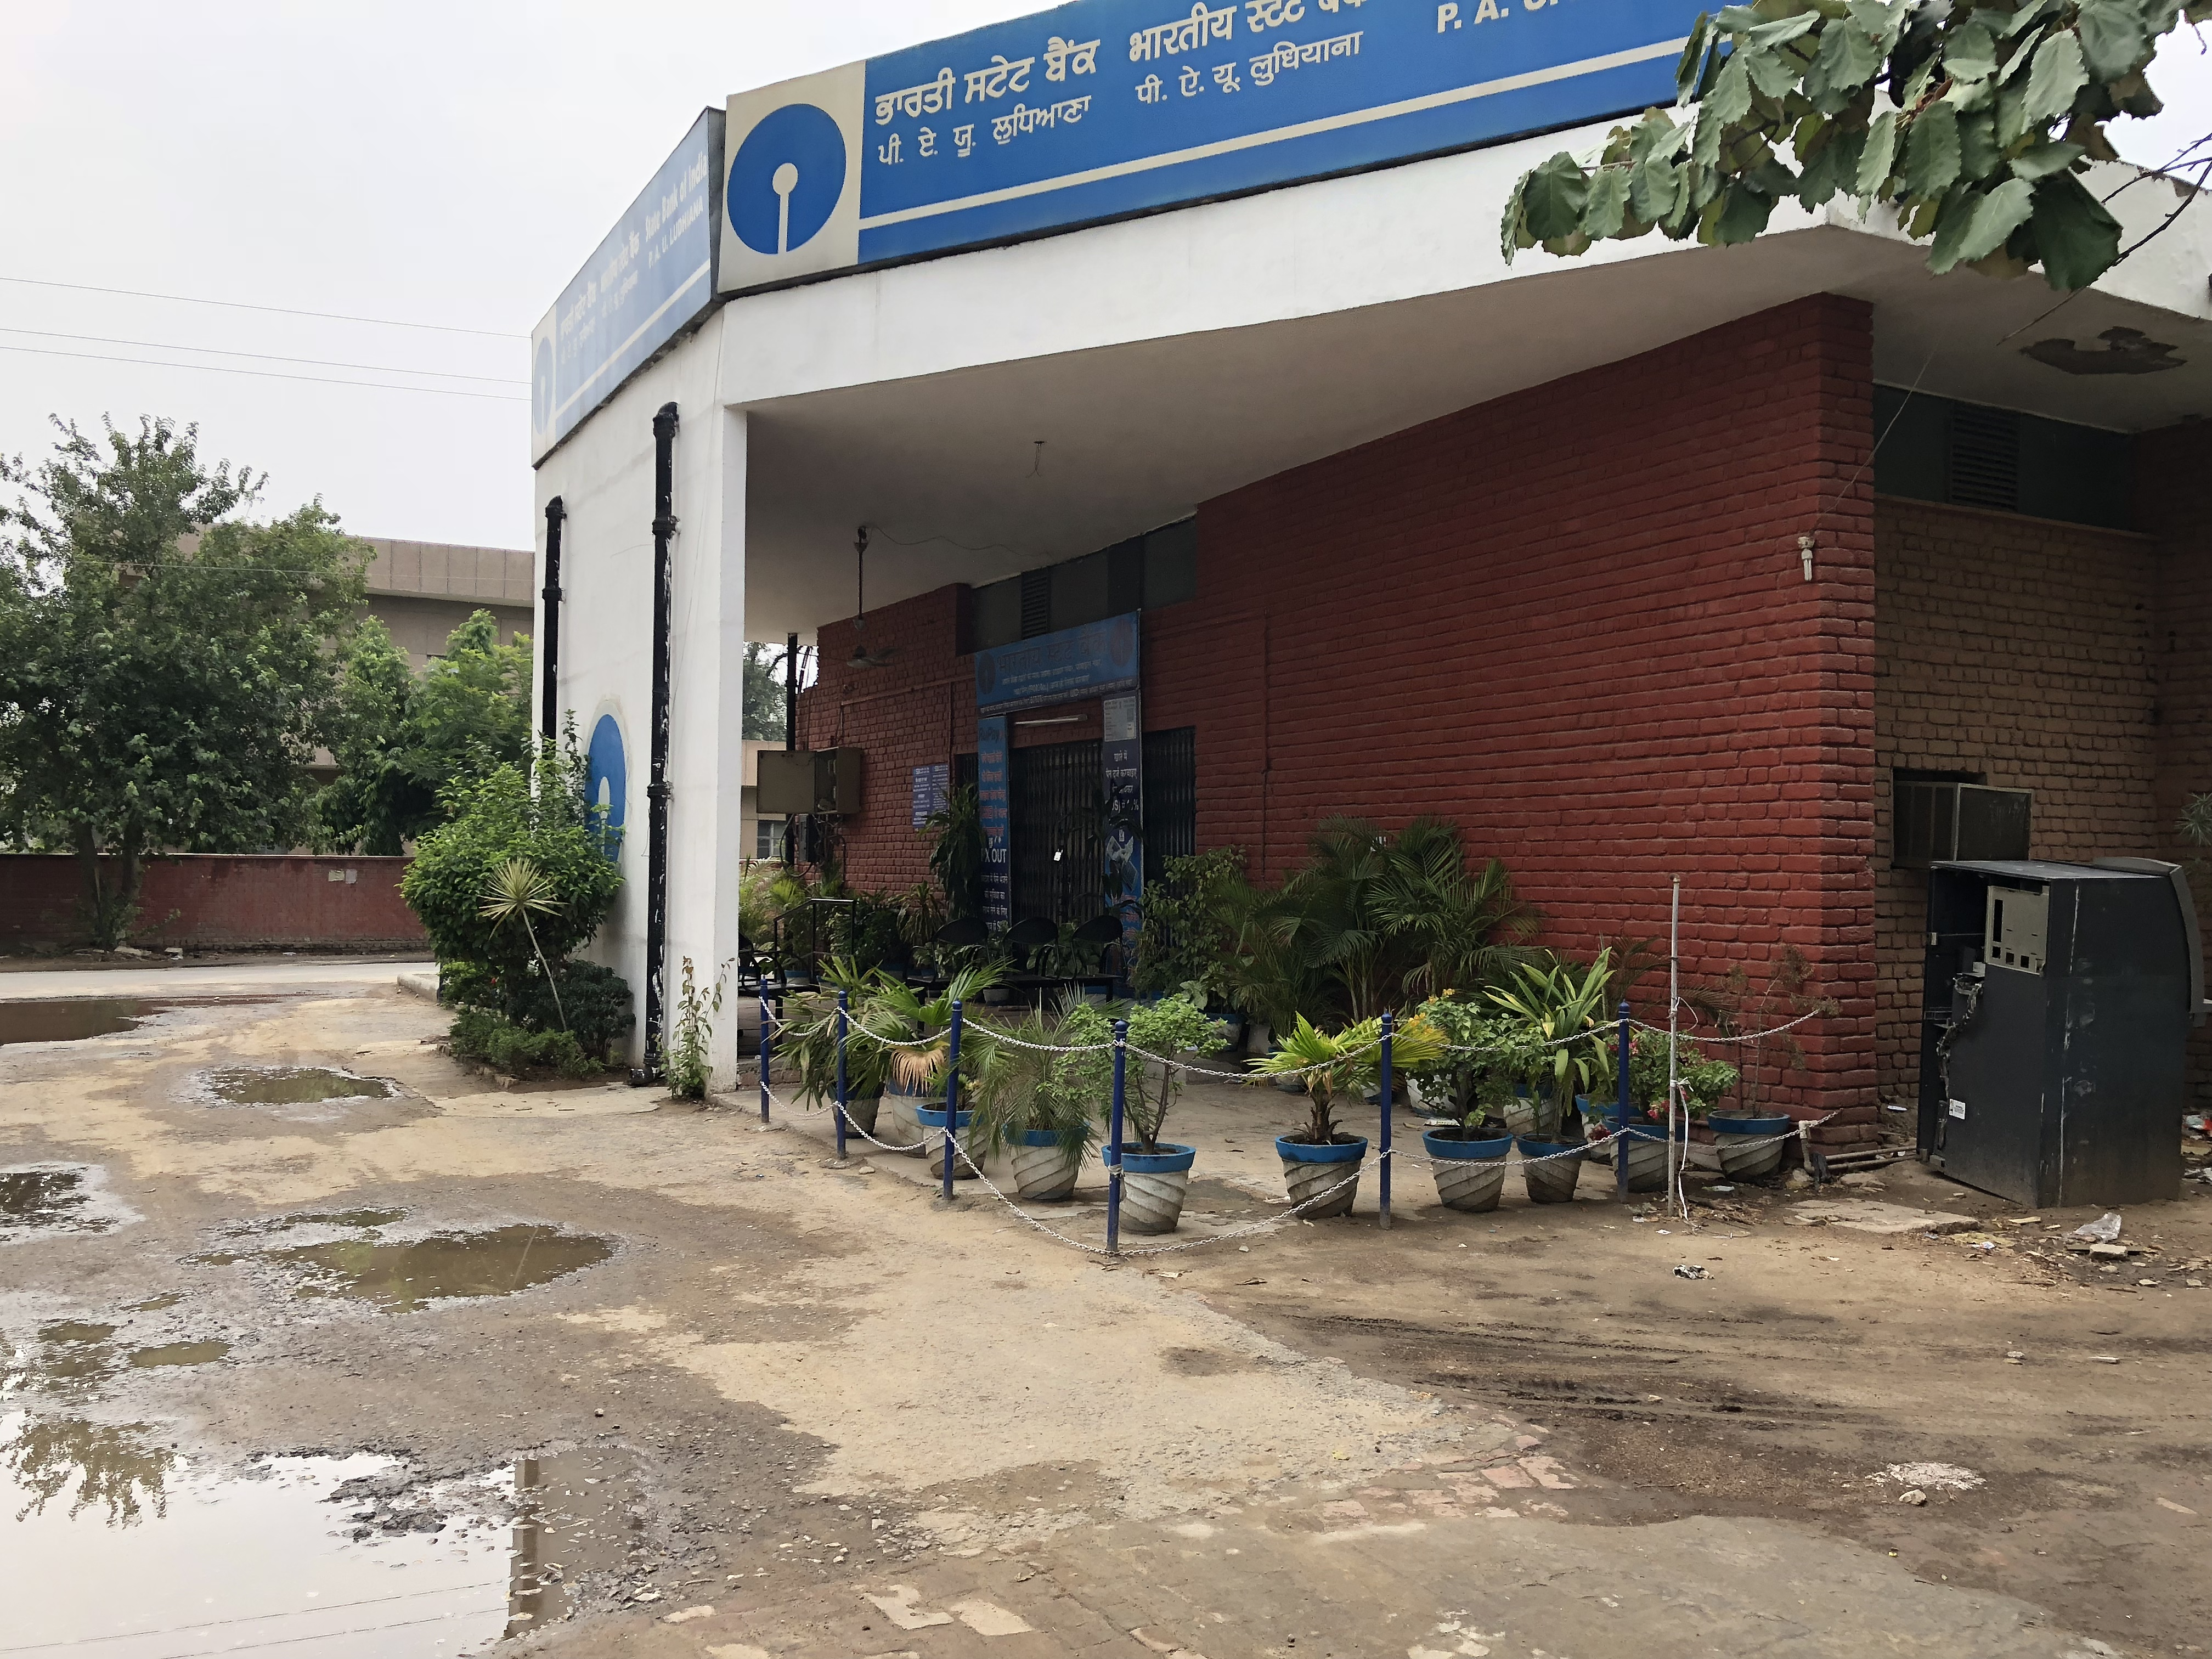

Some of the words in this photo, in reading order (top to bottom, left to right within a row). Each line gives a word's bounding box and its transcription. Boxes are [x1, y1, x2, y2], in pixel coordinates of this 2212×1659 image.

[865, 59, 959, 132] ਭਾਰਤੀ
[960, 47, 1040, 113] ਸਟੇਟ
[1038, 27, 1106, 88] ਬੈंਕ
[1130, 68, 1173, 112] पी.
[1120, 1, 1240, 68] भारतीय
[1171, 59, 1212, 103] ऐ.
[1205, 52, 1246, 98] यू.
[1243, 22, 1374, 91] लुधियाना
[1427, 0, 1468, 35] P.
[870, 128, 910, 171] ਪੀ.
[909, 122, 946, 171] ਏ.
[944, 111, 983, 165] ਯੂ.
[986, 90, 1097, 150] ਲੁਧਿਆਣਾ
[995, 637, 1044, 676] भारतीय
[1042, 629, 1077, 667] स्टेट
[1074, 623, 1110, 659] बैंक
[990, 848, 1009, 865] OUT